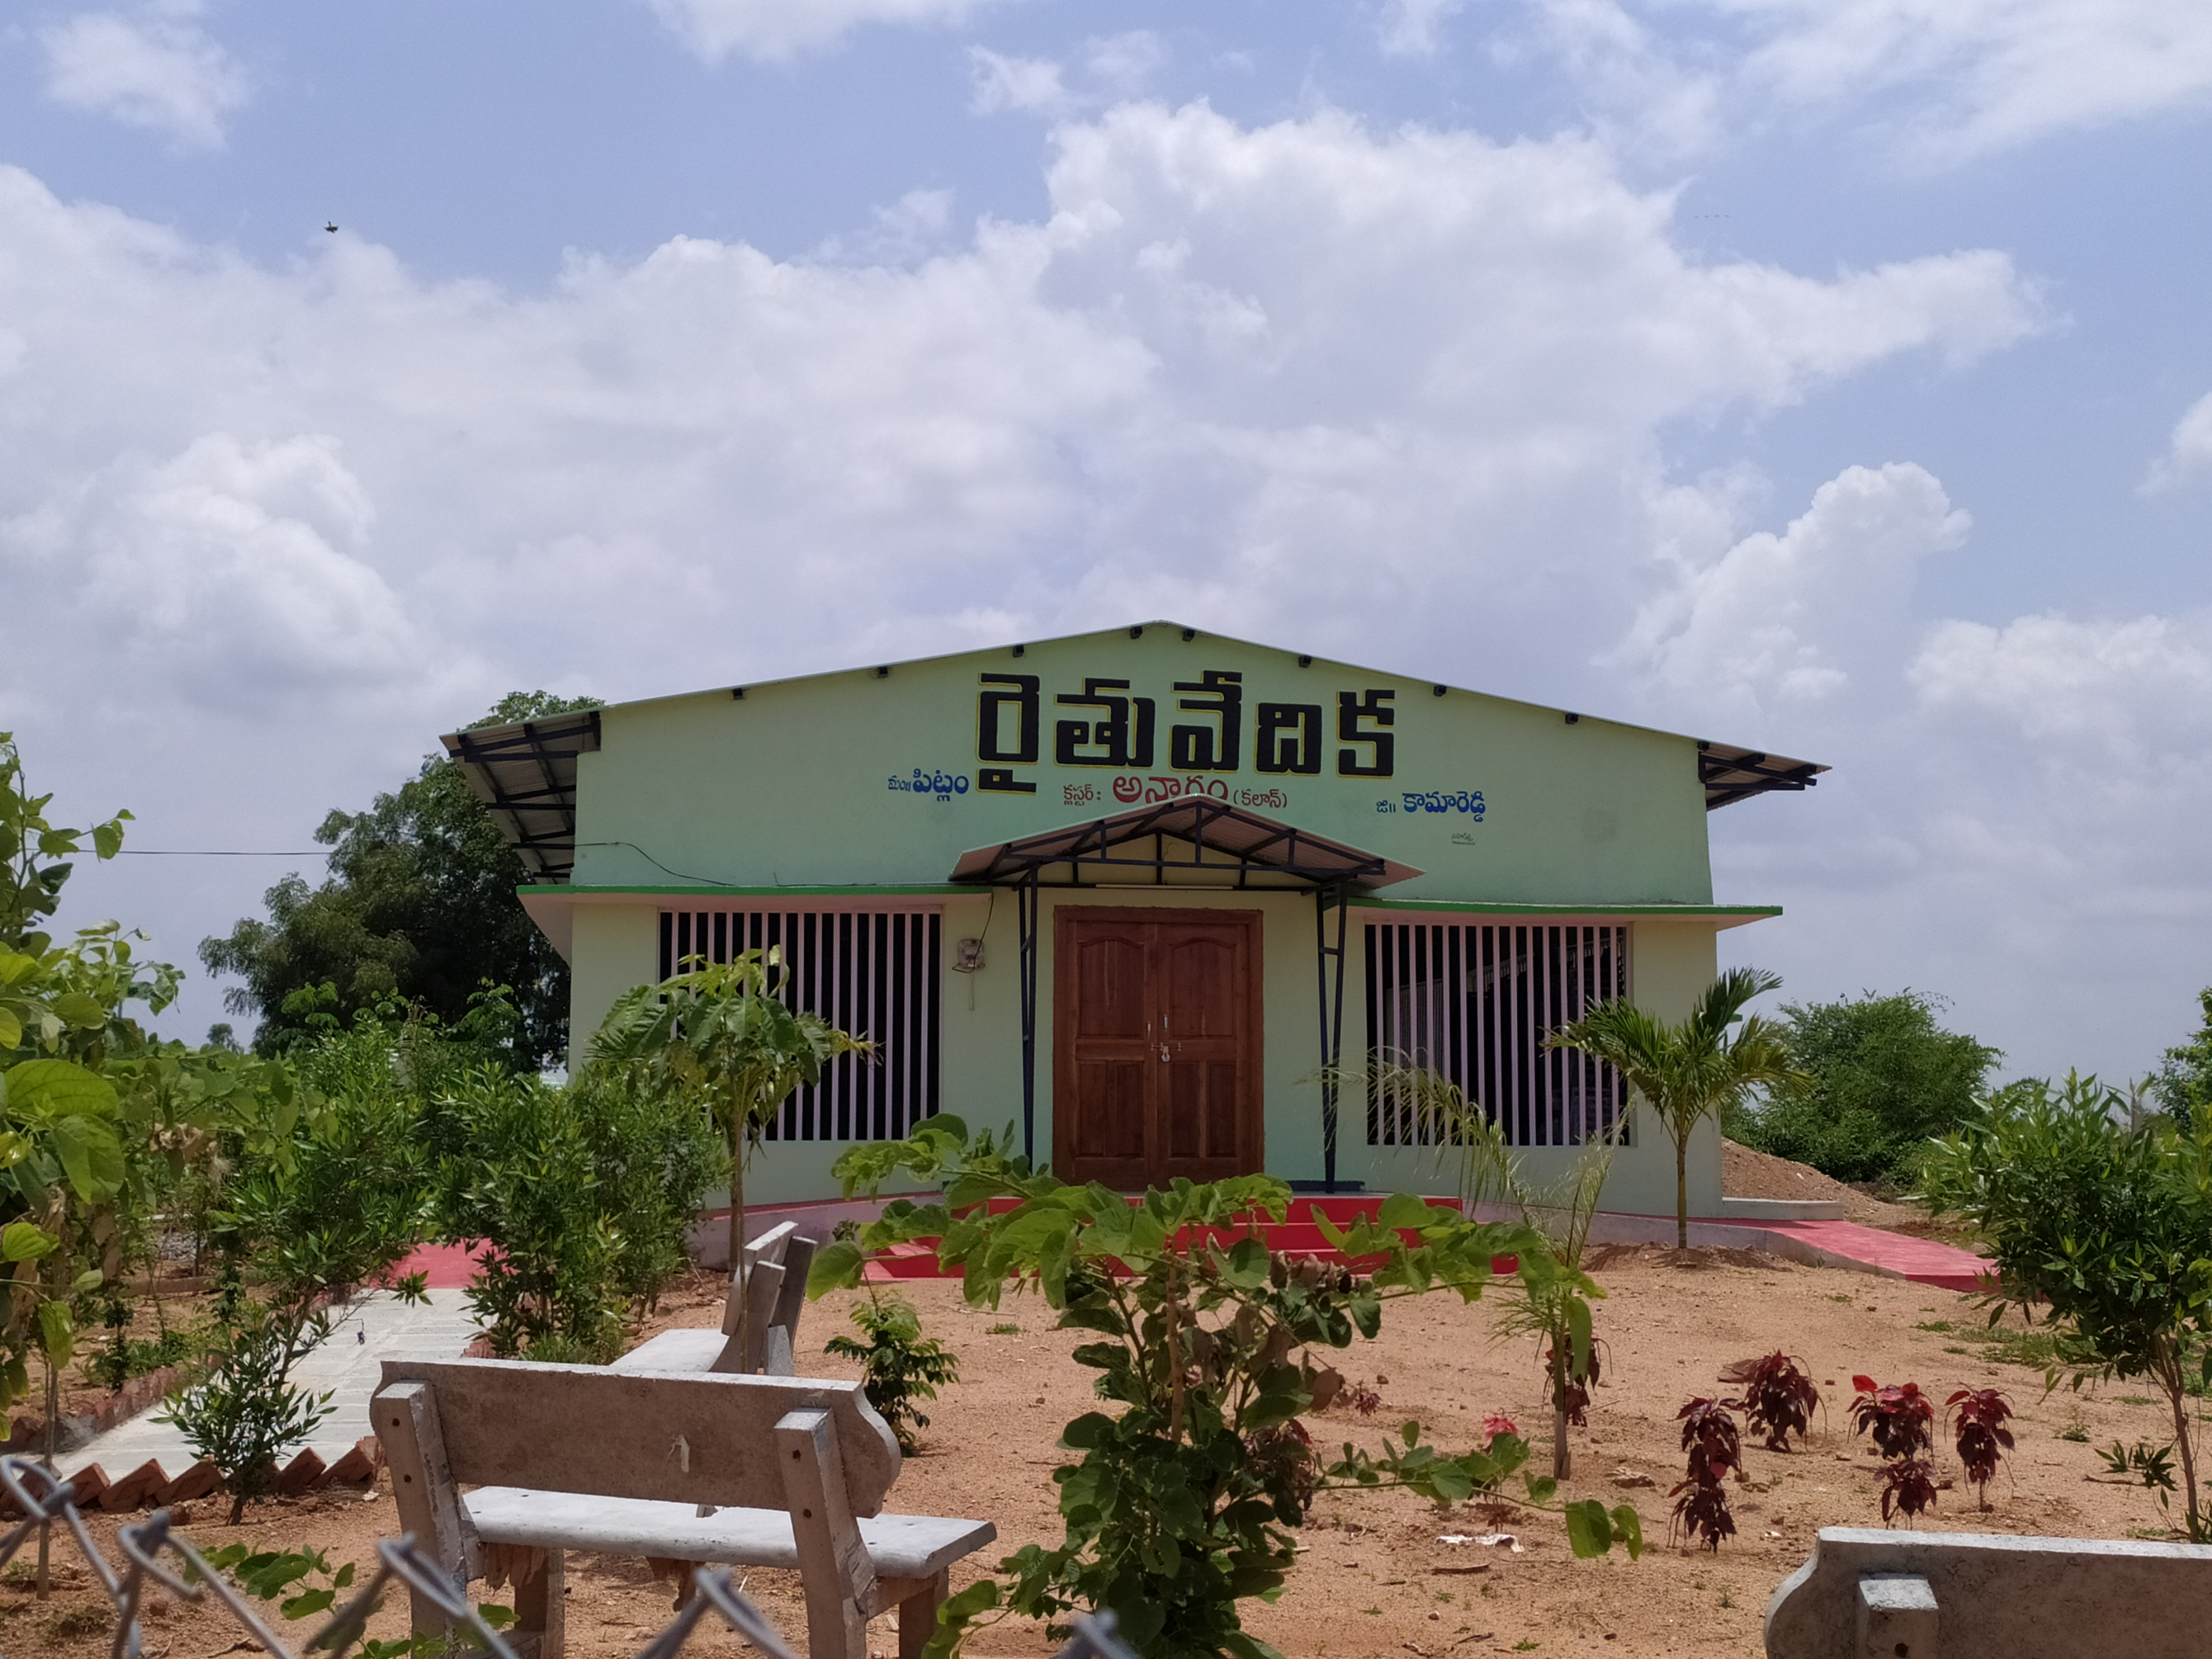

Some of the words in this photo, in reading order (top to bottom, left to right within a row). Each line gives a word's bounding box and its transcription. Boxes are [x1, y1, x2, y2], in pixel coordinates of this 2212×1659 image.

[973, 664, 1397, 781] రెతువేదిక
[883, 764, 973, 805] మం|| పిట్లం
[1059, 778, 1103, 808] క్లస్టర్:
[1109, 770, 1230, 806] అనారం
[1235, 786, 1282, 811] కలాన్
[1373, 797, 1399, 817] జి॥
[1400, 785, 1489, 826] కామారెడ్డి